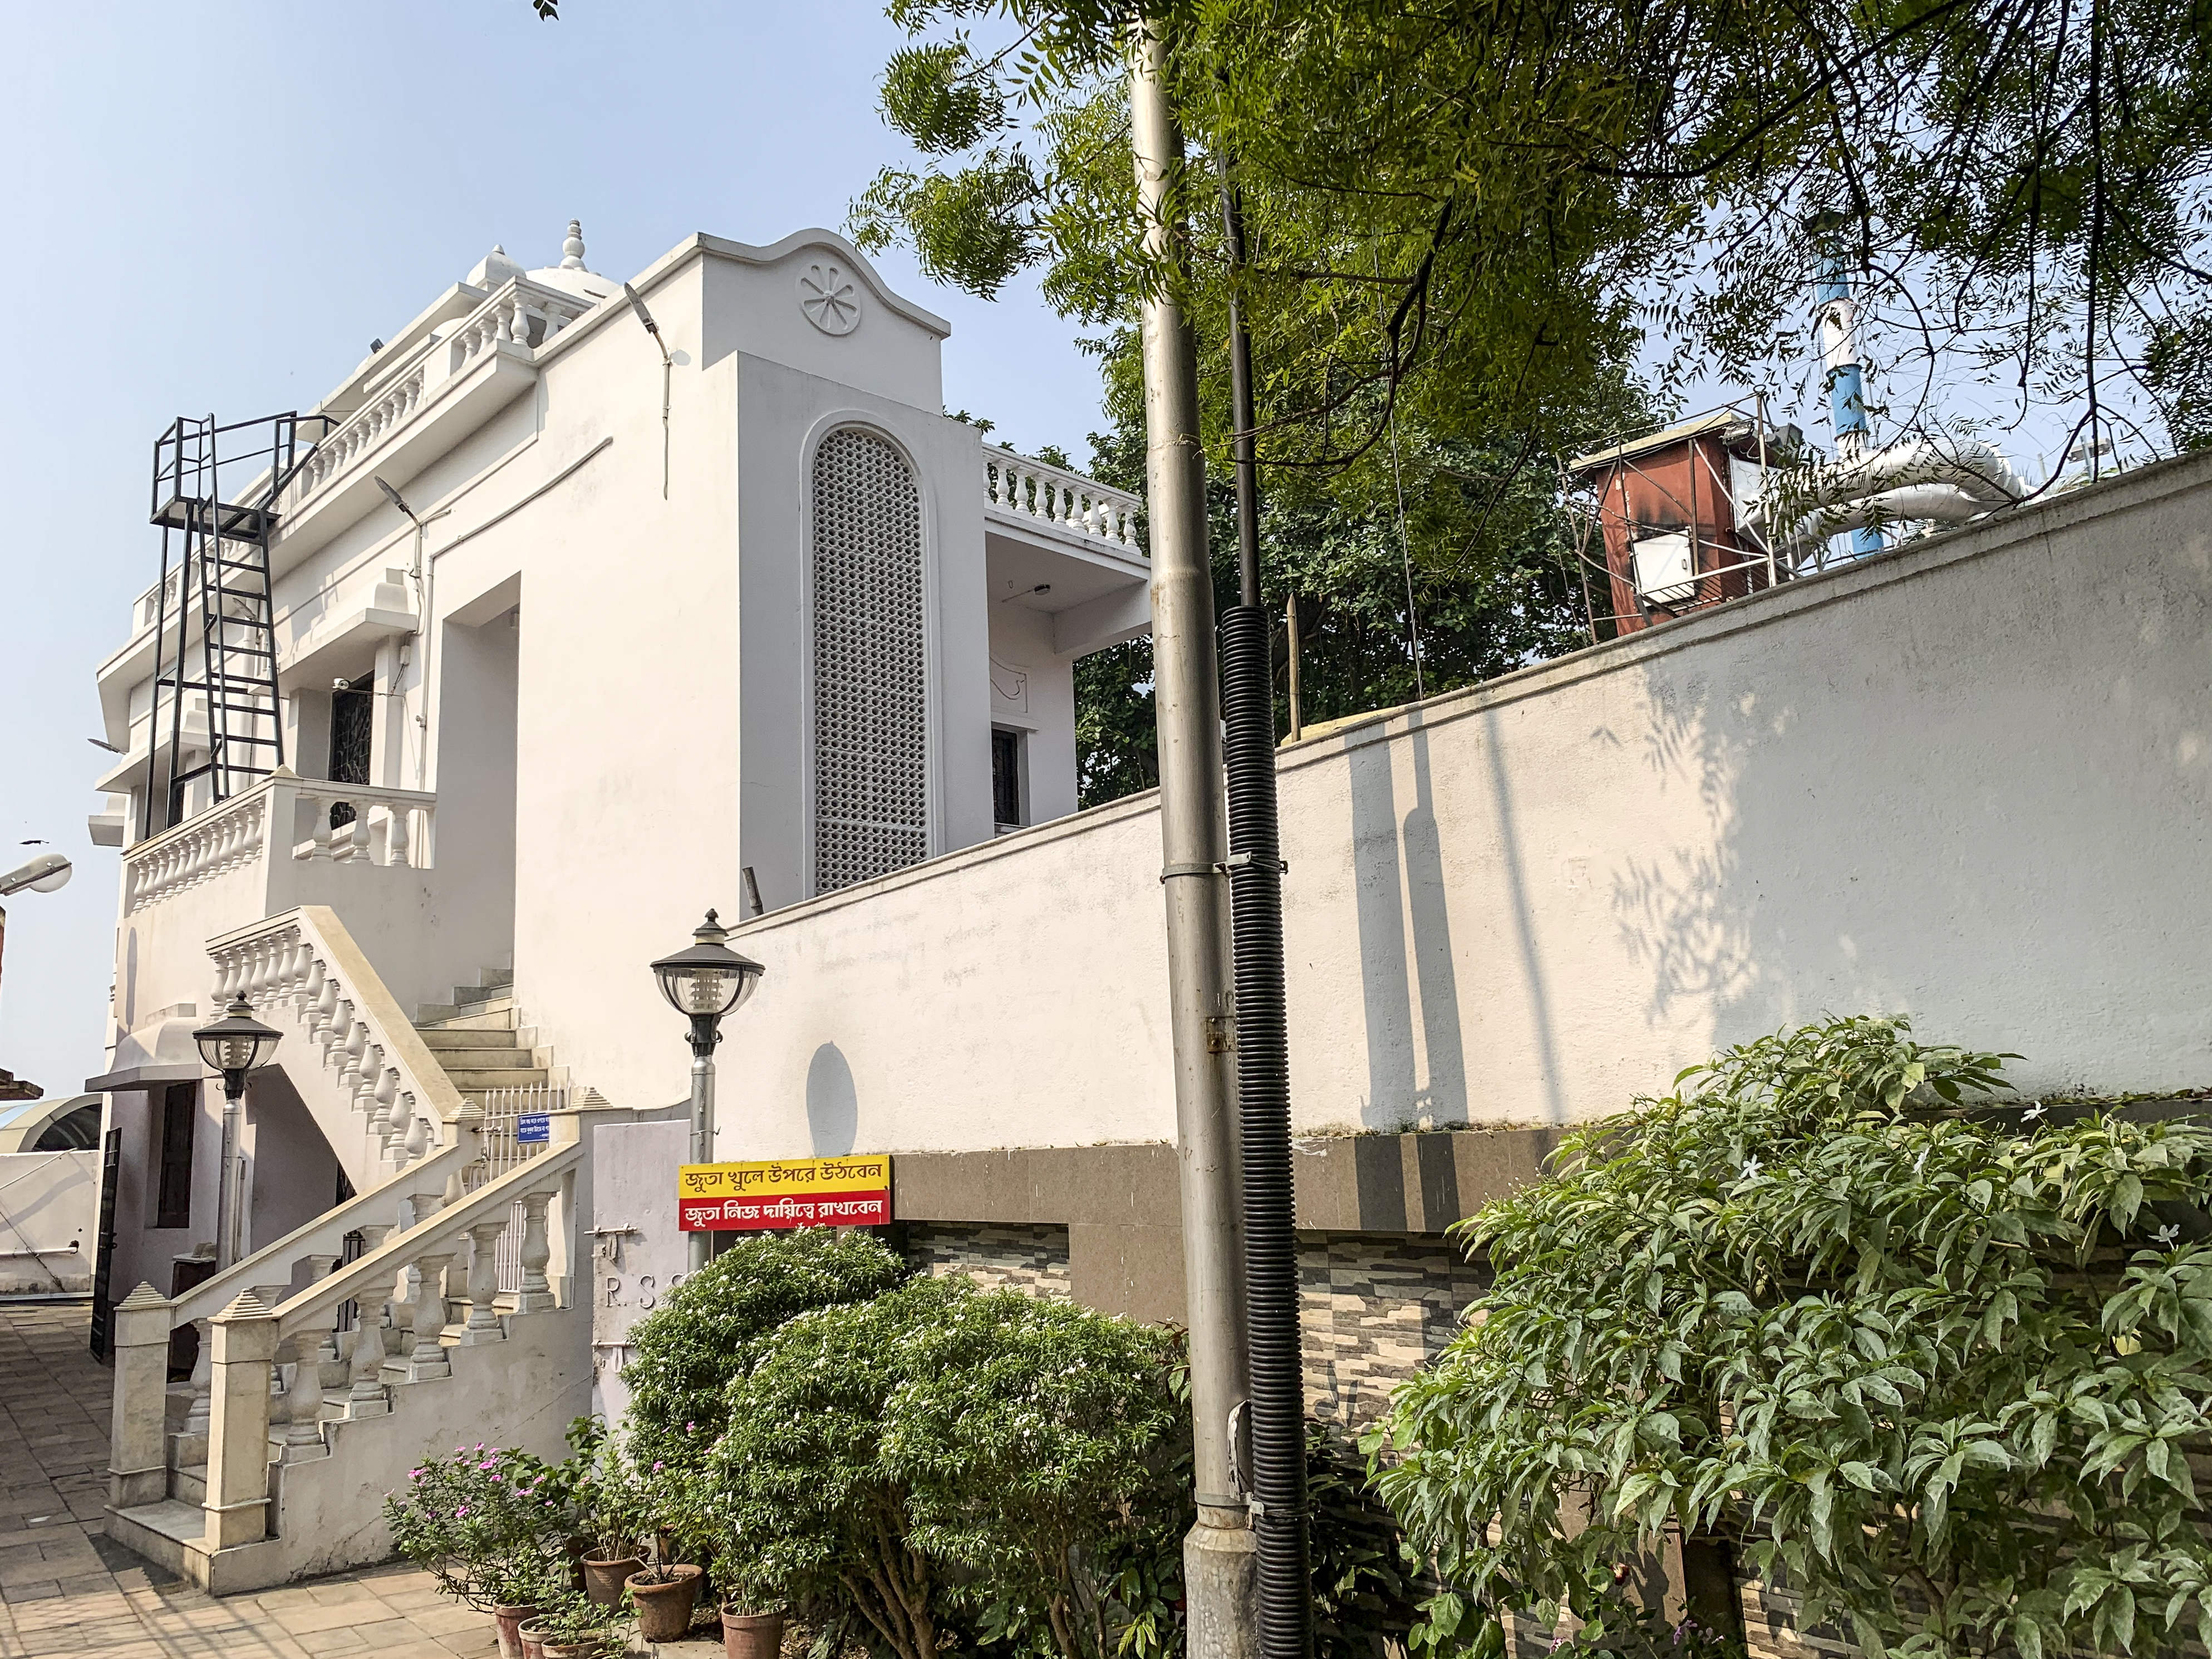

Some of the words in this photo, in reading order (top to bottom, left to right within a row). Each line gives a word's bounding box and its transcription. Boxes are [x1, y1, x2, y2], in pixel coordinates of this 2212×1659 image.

[682, 1162, 724, 1197] জুতা
[722, 1164, 765, 1195] খুলে
[763, 1159, 819, 1186] উপরে
[815, 1156, 884, 1183] উঠবেন
[681, 1201, 724, 1231] জুতা
[717, 1194, 764, 1224] নিজ
[759, 1192, 818, 1221] দায়িত্বে
[814, 1195, 886, 1222] রাখবেন